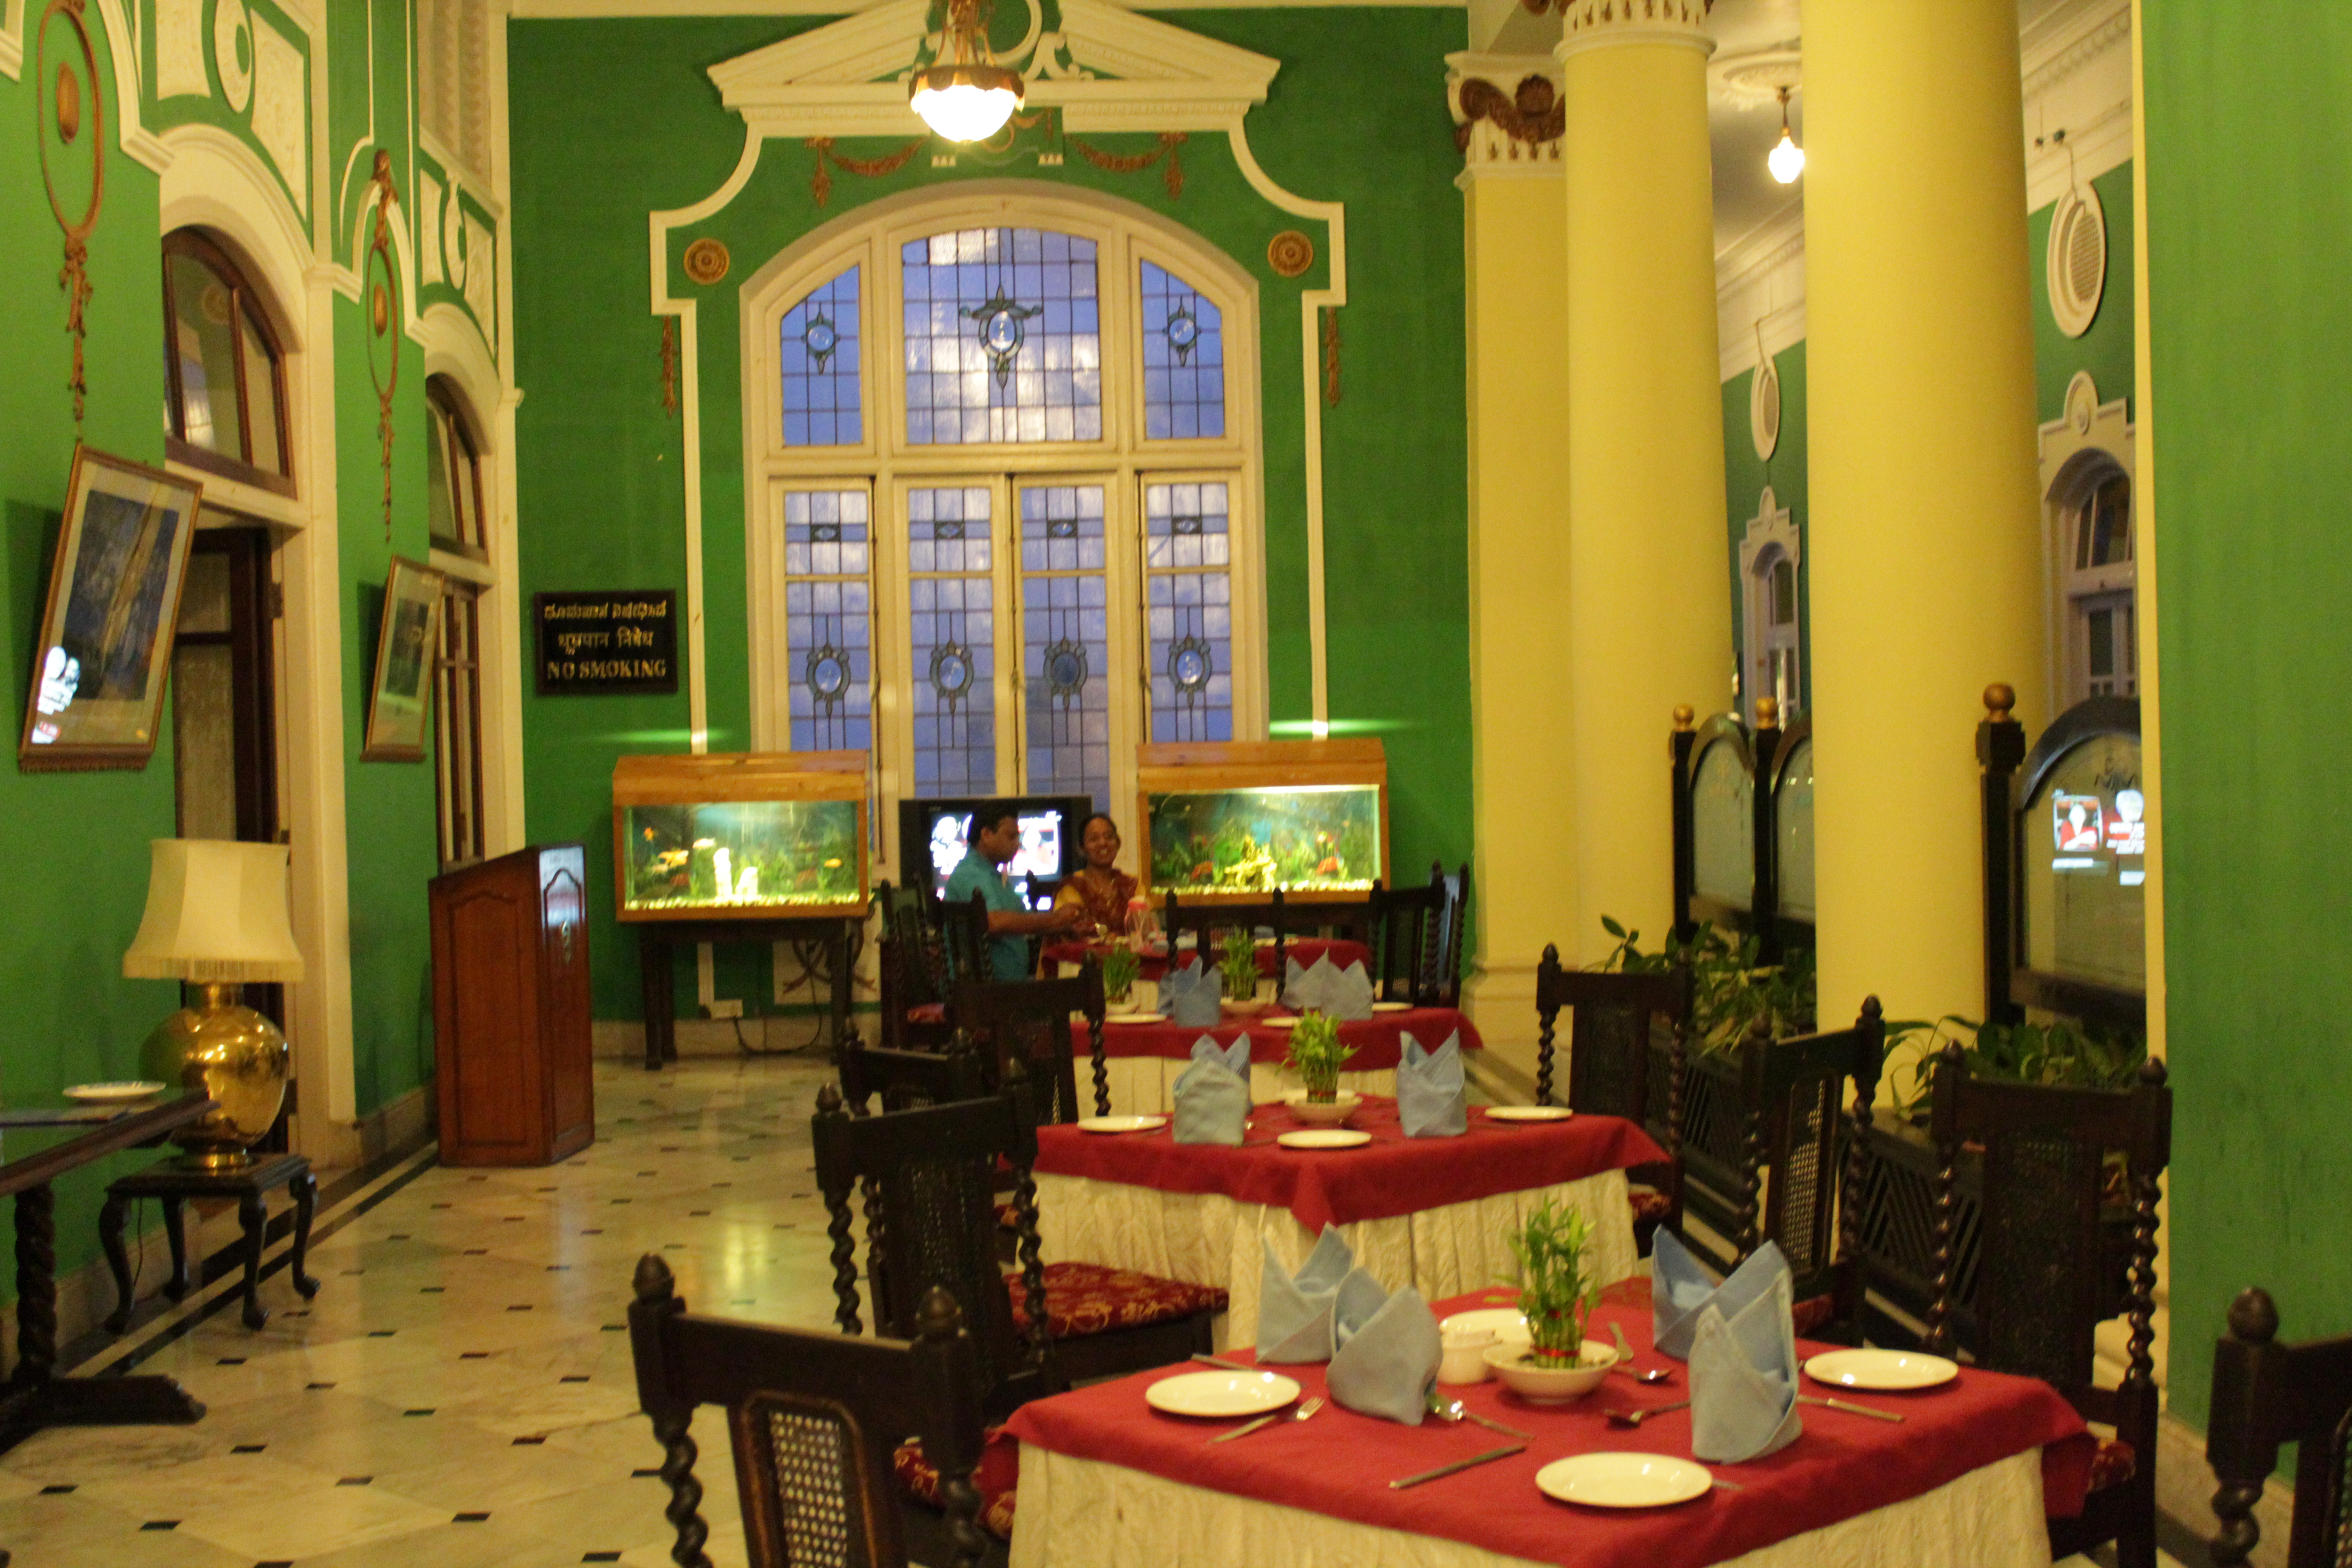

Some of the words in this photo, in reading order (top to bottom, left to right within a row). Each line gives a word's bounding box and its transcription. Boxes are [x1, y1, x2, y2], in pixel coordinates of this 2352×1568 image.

[553, 629, 612, 658] धूम्रपान
[611, 620, 655, 649] निषेध
[544, 657, 577, 683] NO
[576, 656, 668, 682] SMOKING